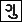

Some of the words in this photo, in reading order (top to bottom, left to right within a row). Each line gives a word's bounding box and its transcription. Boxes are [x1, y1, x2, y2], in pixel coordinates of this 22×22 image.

[1, 1, 21, 21] ગુ